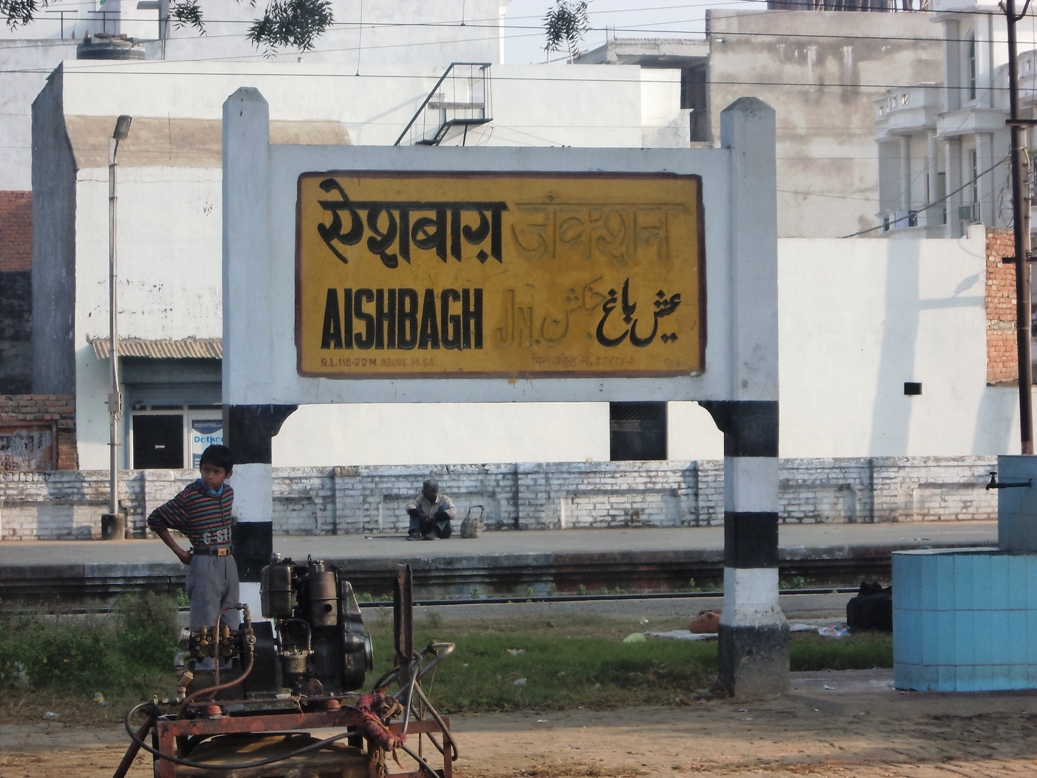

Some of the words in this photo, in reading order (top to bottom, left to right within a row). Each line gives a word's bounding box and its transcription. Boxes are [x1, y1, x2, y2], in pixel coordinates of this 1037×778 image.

[305, 180, 512, 276] रेशबाग़
[503, 185, 690, 271] जंक्शन
[312, 280, 491, 352] AISHBAGH